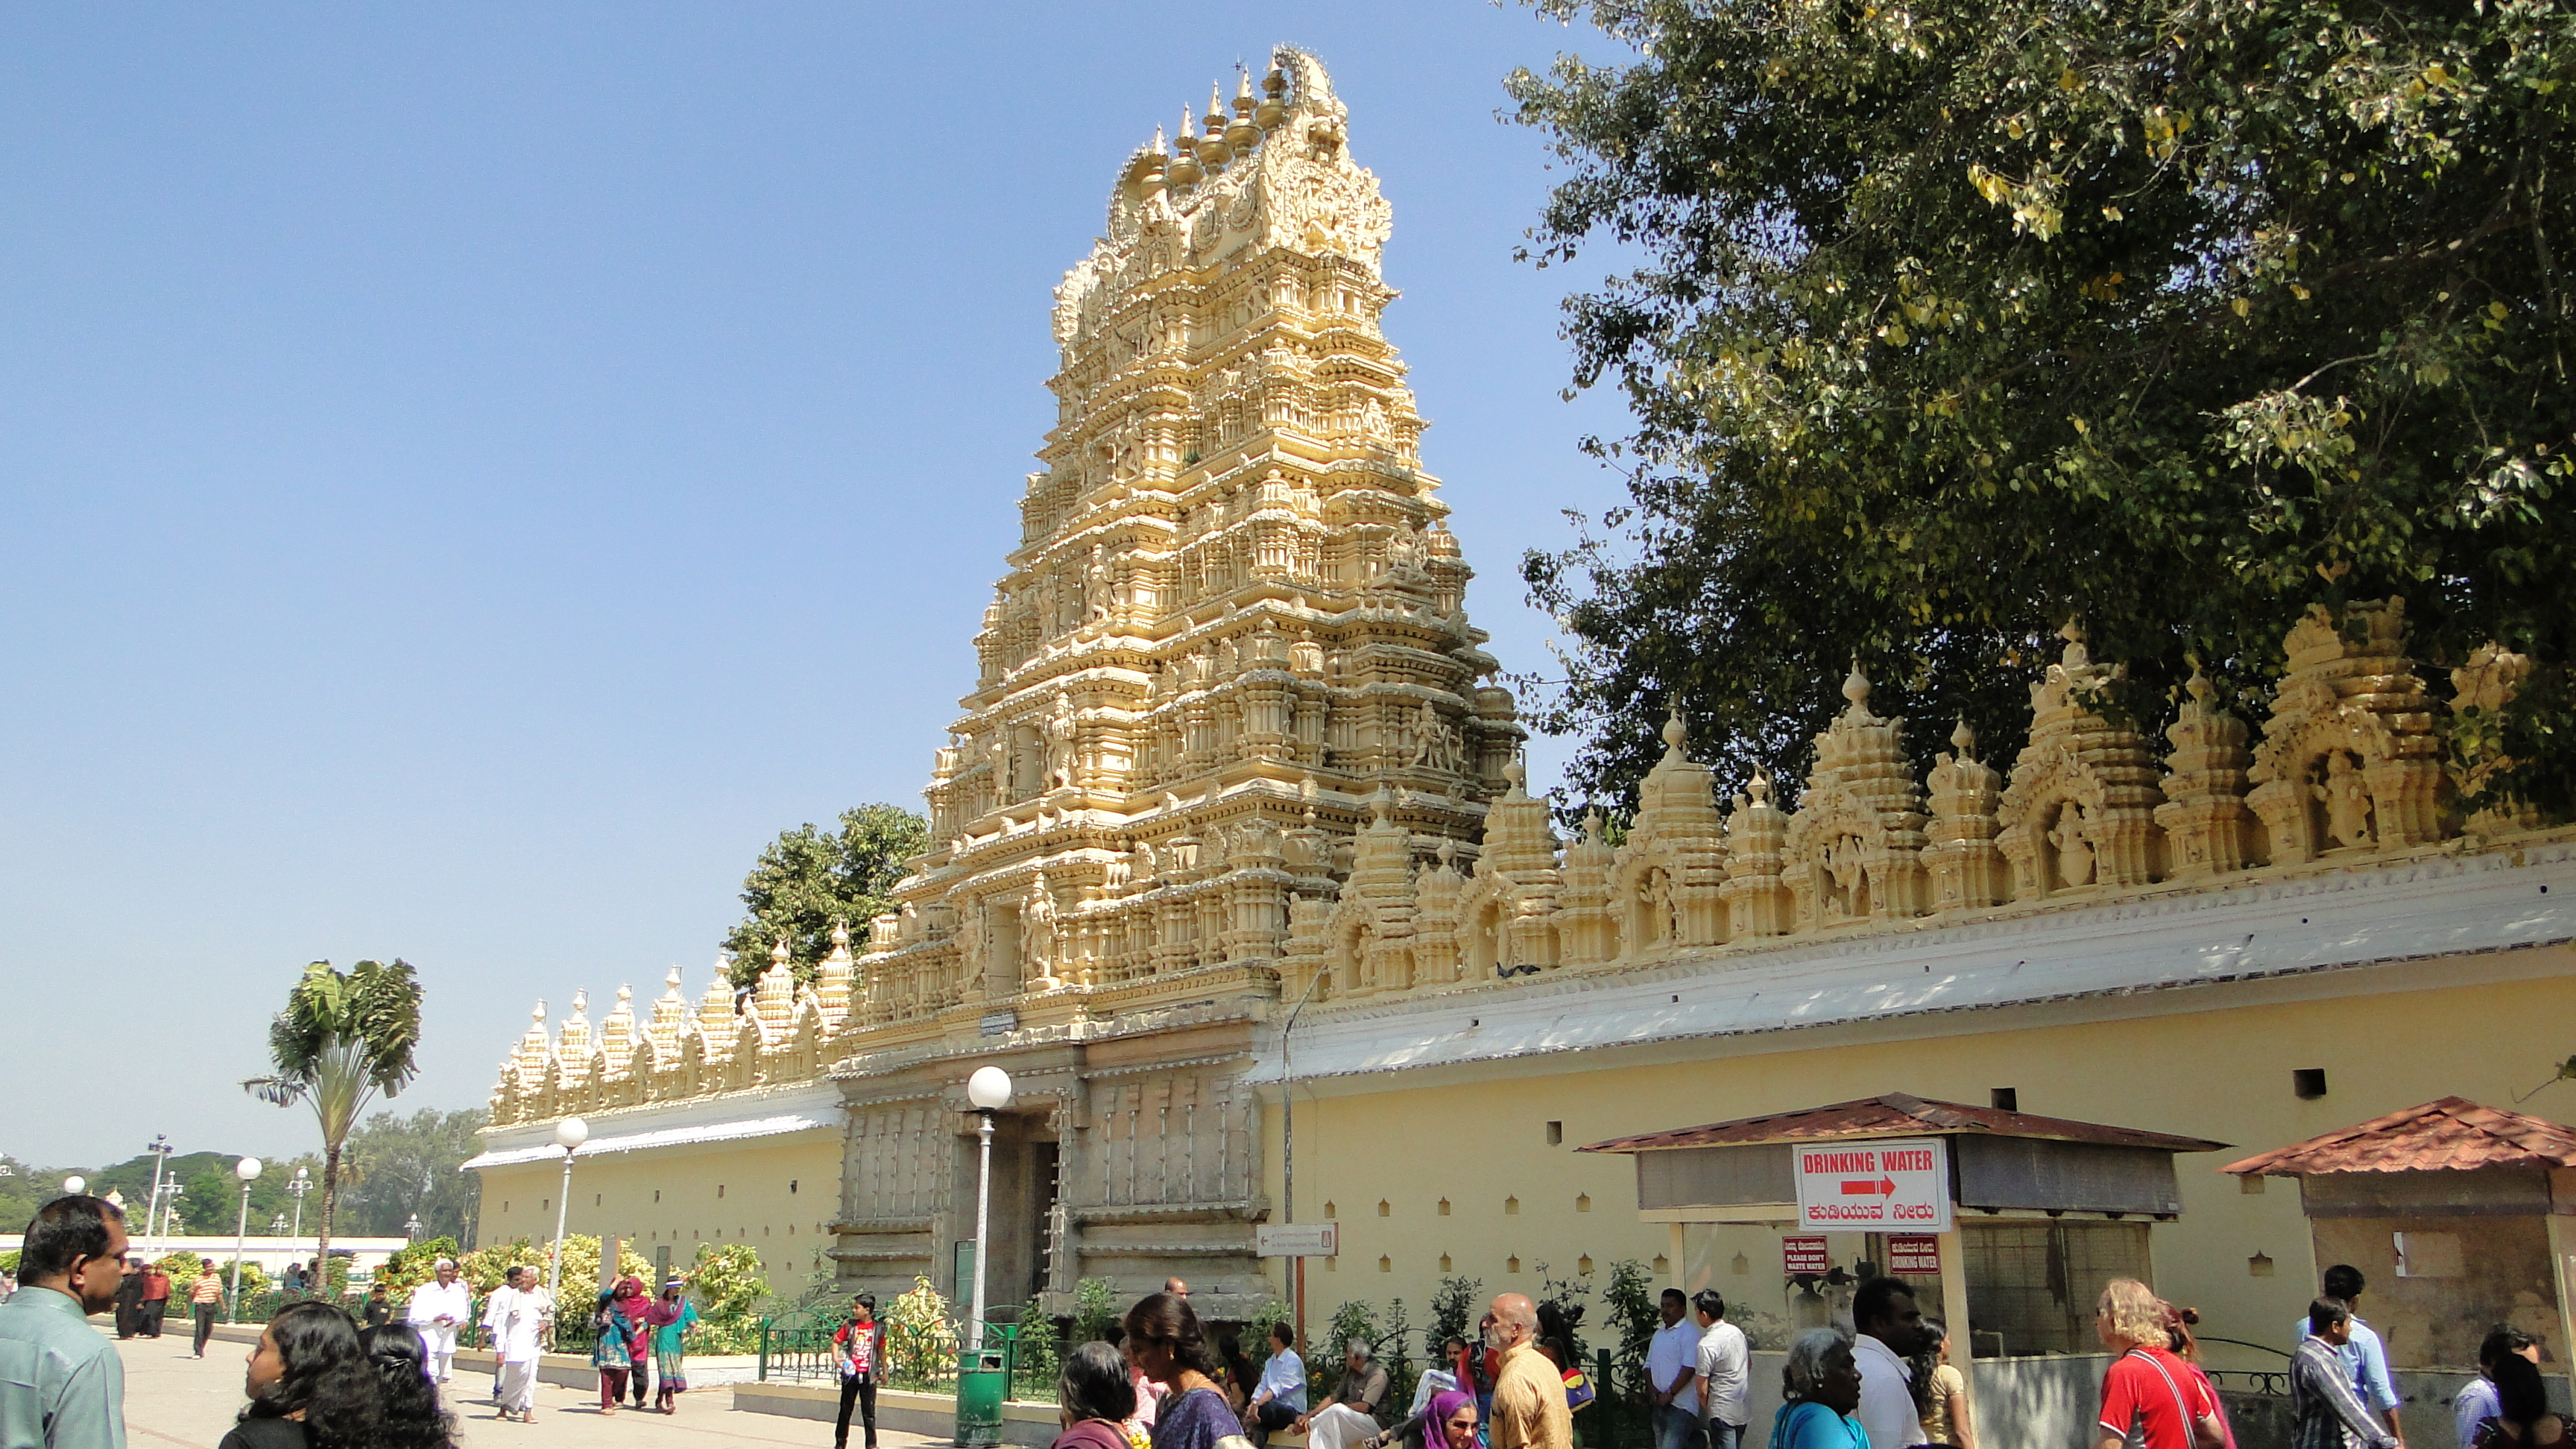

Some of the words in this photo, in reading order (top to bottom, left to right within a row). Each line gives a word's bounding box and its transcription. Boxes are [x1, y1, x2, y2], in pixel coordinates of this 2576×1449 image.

[1802, 1149, 1878, 1176] DRINKING
[1872, 1148, 1936, 1174] WATER
[1804, 1198, 1885, 1222] ಕುಡಿಯುವ
[1890, 1198, 1937, 1225] ನೀರು
[1782, 1248, 1809, 1265] PLEASE
[1784, 1257, 1808, 1274] WASTE
[1805, 1250, 1825, 1264] DON
[1804, 1258, 1828, 1274] WATER
[1887, 1252, 1920, 1270] DRINKING
[1912, 1251, 1939, 1272] WATER
[1916, 1240, 1937, 1255] ವಿಂದು1